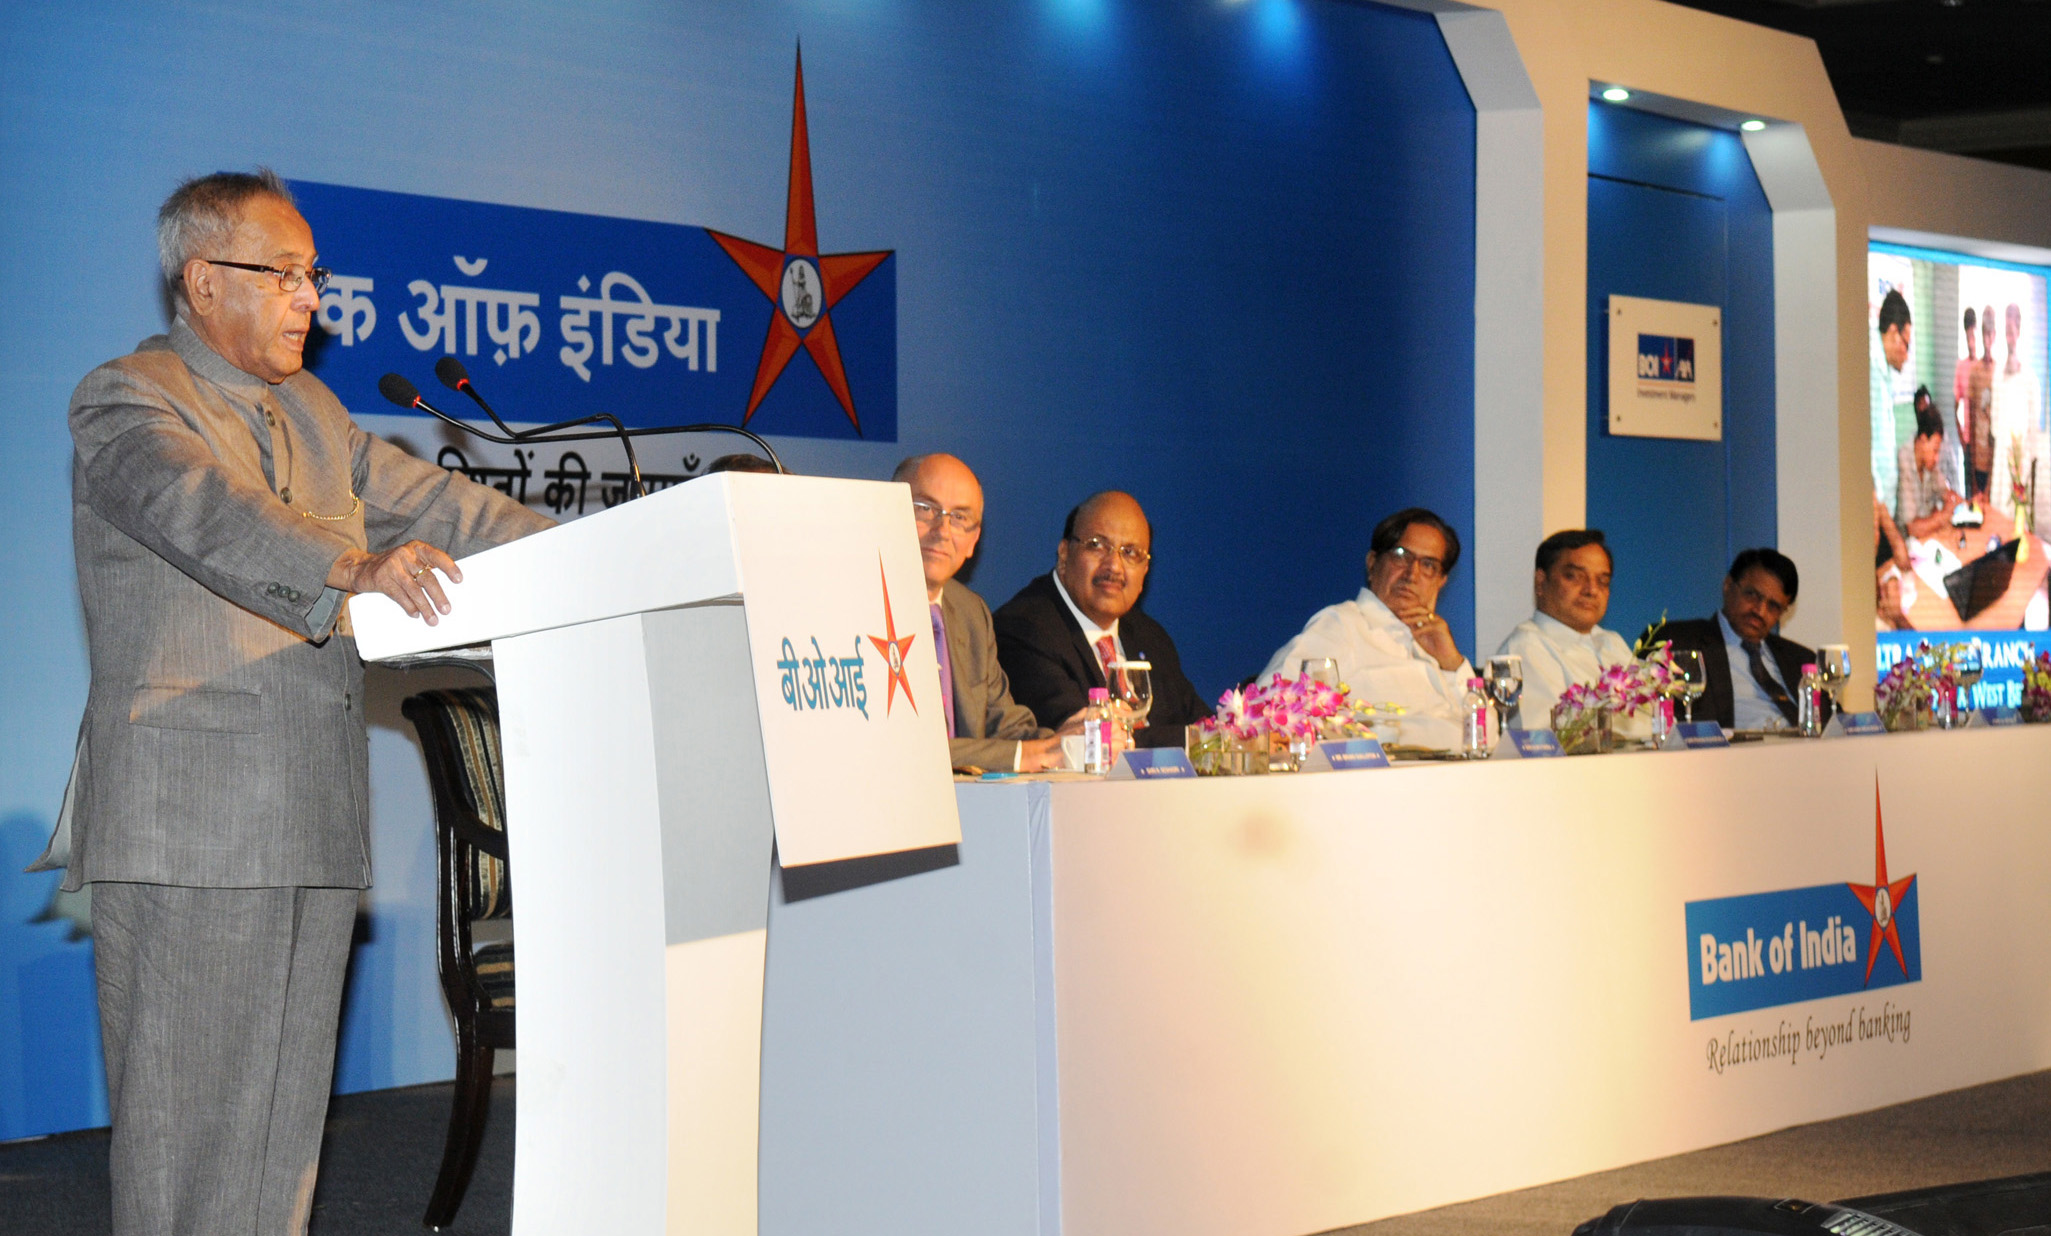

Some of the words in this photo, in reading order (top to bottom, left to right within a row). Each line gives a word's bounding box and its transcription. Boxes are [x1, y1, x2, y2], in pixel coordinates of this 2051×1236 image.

[393, 252, 543, 369] ऑफ़
[556, 267, 723, 384] इंडिया
[772, 633, 871, 722] बीओआई
[1695, 921, 1768, 988] Bank
[1761, 916, 1797, 978] of
[1791, 913, 1861, 973] India
[1703, 1016, 1804, 1078] Relationship
[1801, 1006, 1860, 1065] beyond
[1856, 1000, 1913, 1047] banking